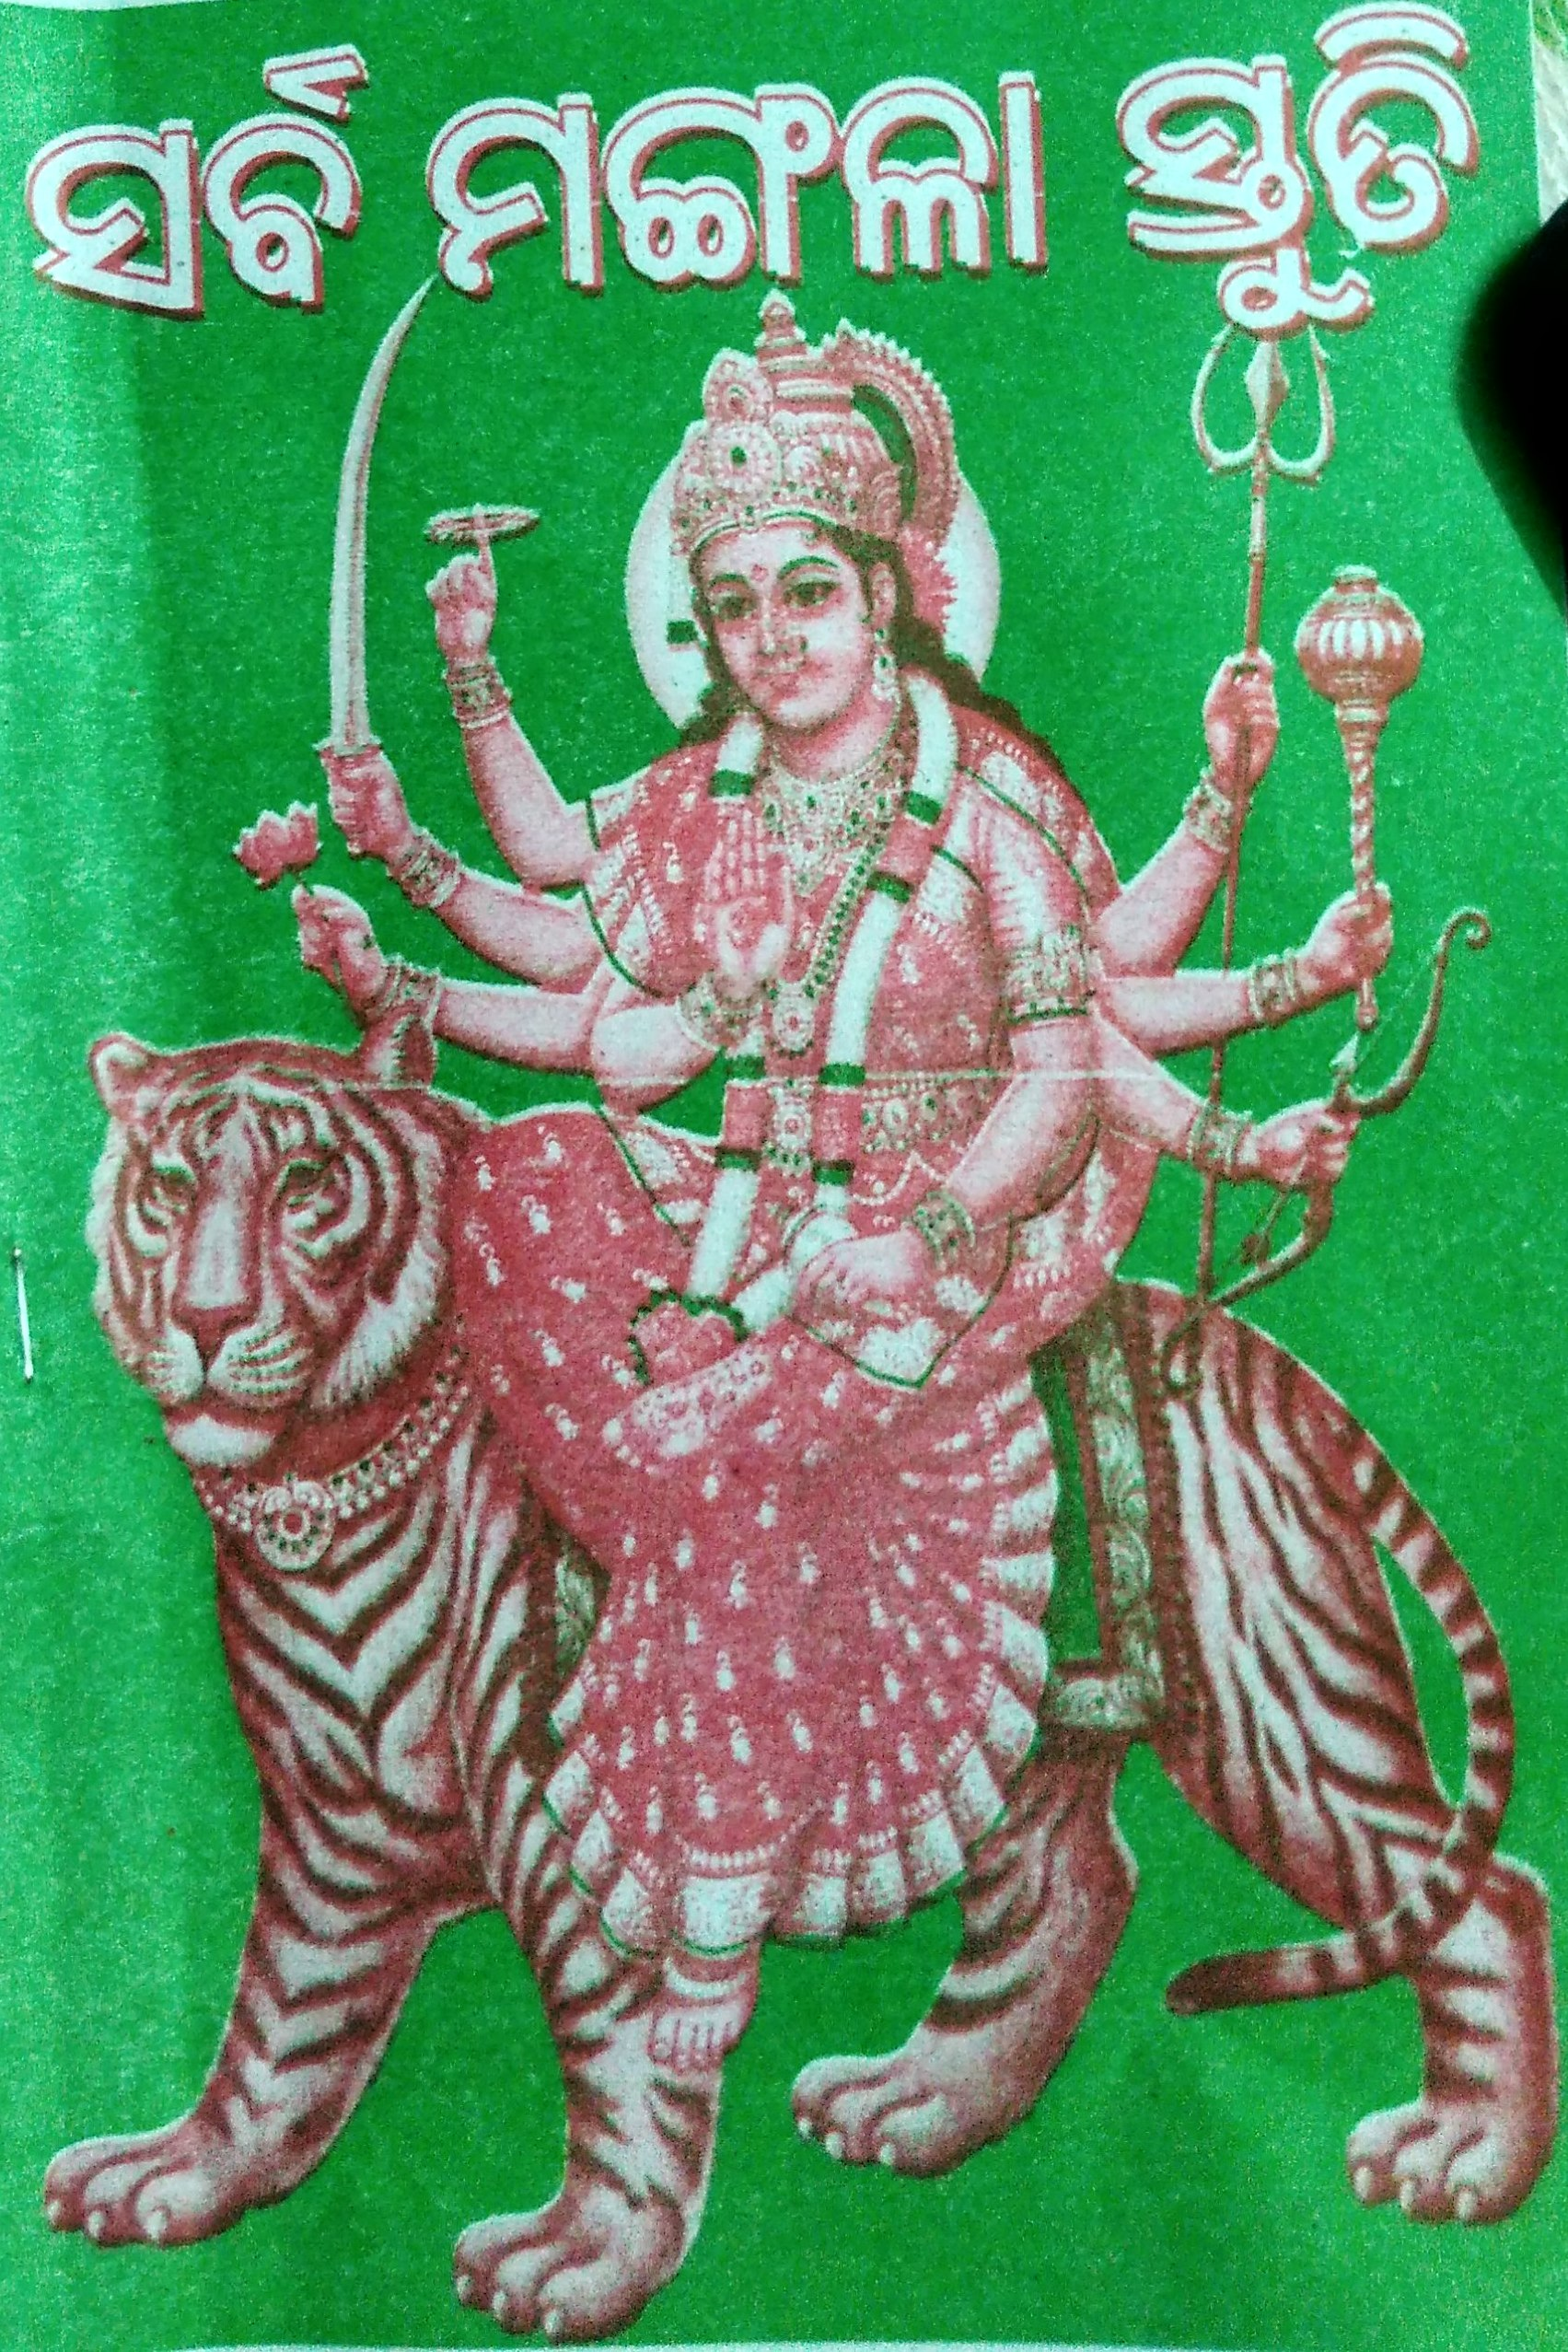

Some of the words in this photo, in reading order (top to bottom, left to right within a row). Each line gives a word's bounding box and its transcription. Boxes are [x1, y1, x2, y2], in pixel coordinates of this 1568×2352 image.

[13, 23, 401, 343] ସର୍ବ
[411, 66, 1059, 313] ମଙ୍ଗଳା
[1110, 0, 1484, 352] ସ୍ତୁତି